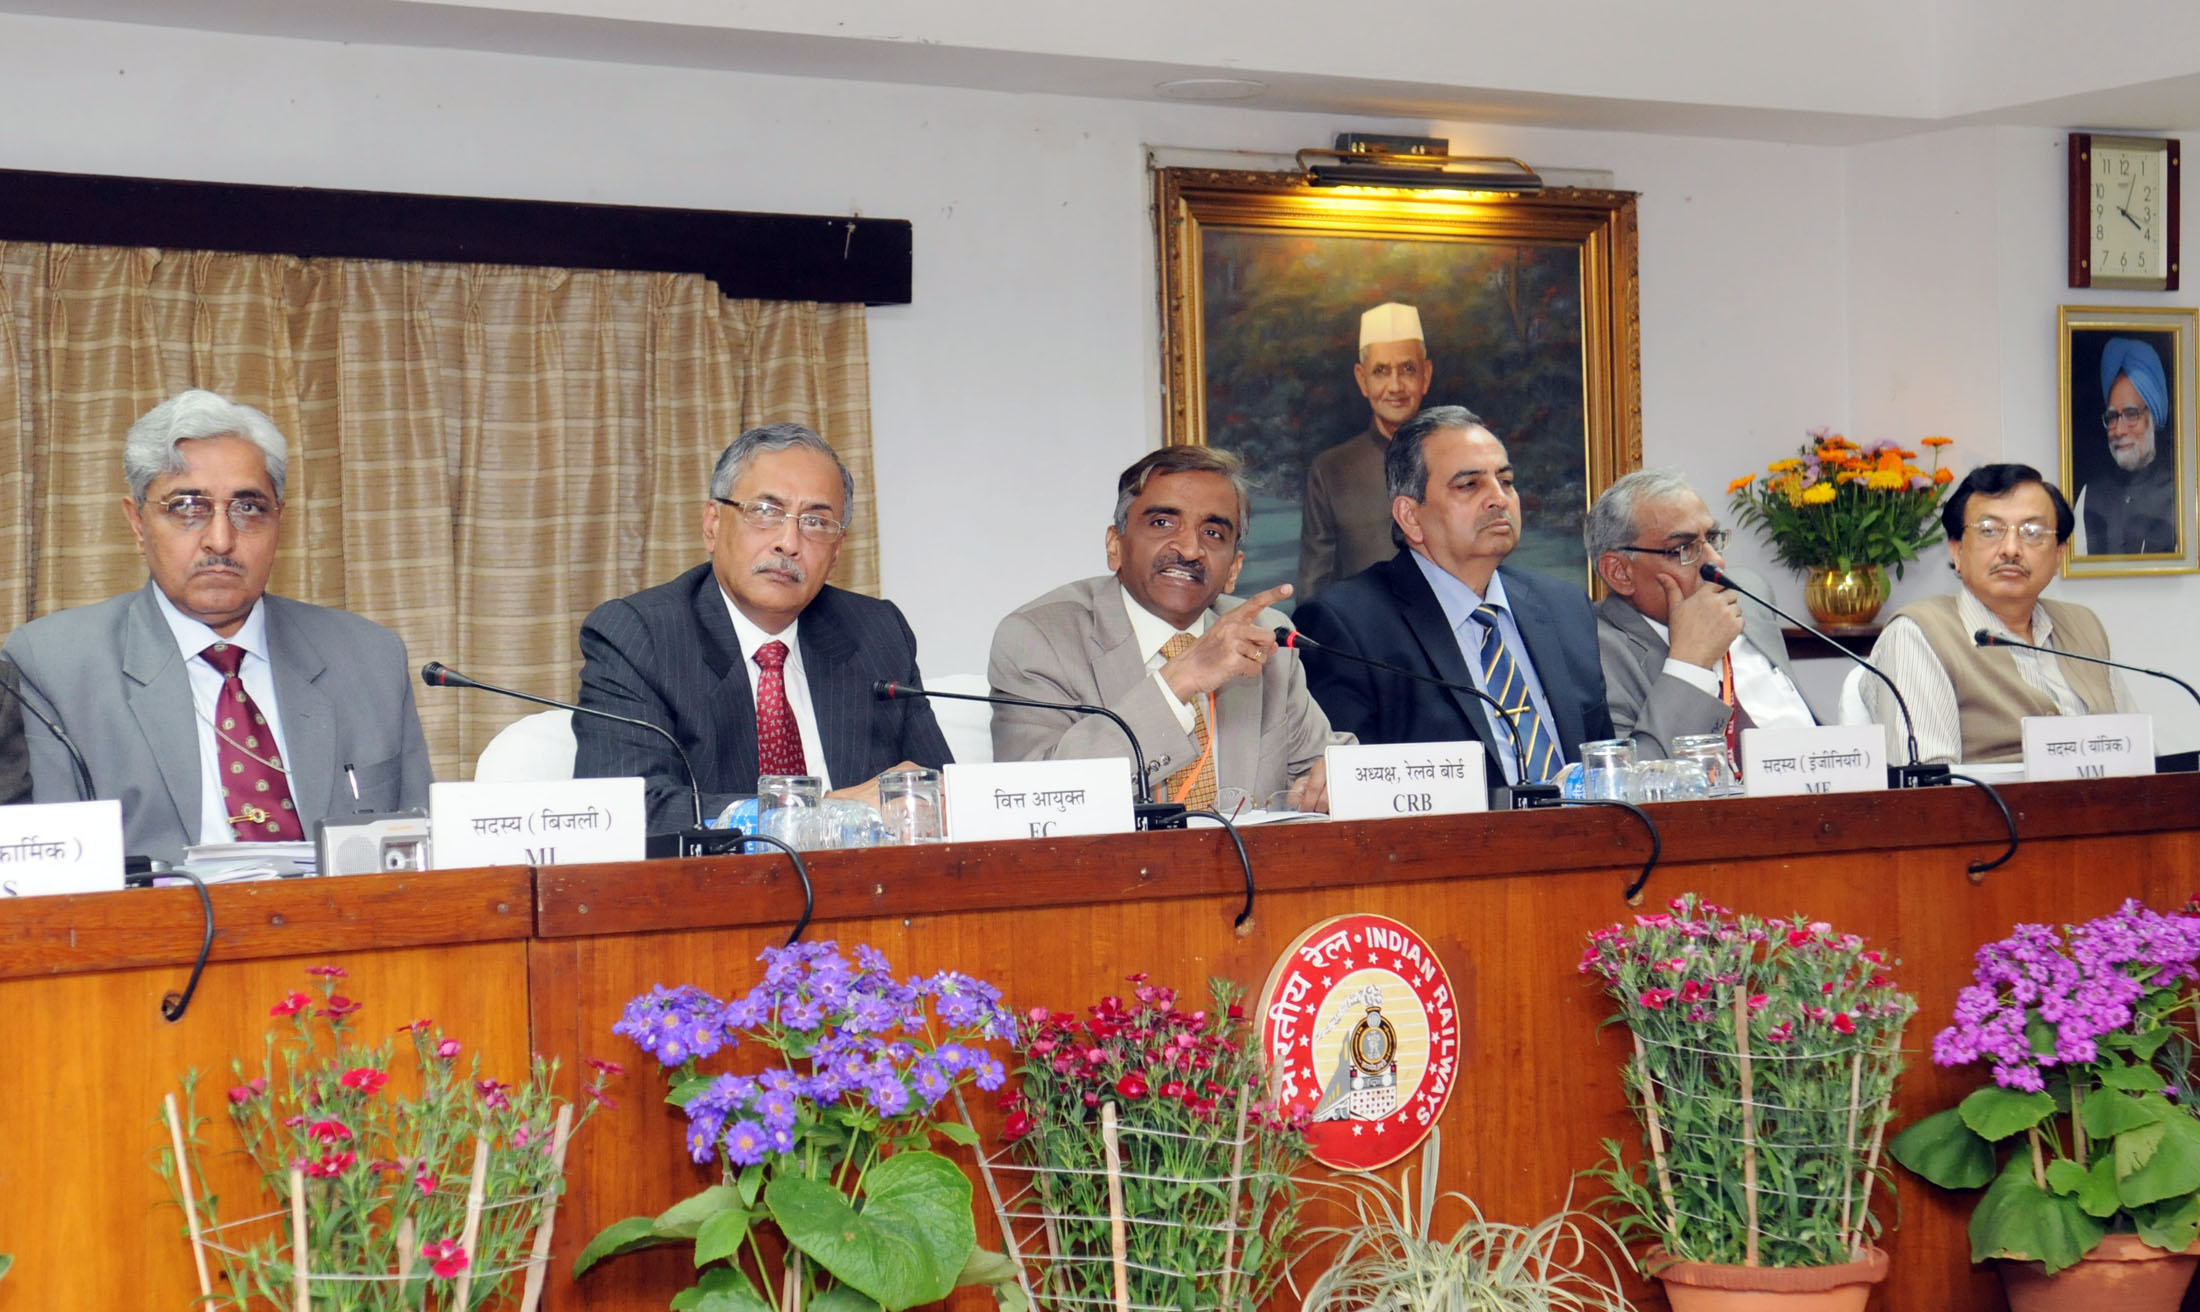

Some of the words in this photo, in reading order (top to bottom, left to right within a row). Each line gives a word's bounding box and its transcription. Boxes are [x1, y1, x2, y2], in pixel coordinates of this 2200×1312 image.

[1350, 763, 1401, 787] अध्यक्ष,
[1400, 755, 1438, 784] रेलवे
[1436, 755, 1469, 783] बोर्ड
[1758, 752, 1802, 779] सदस्य
[1805, 749, 1865, 774] इंजीनियरी
[2040, 736, 2083, 762] सदस्य
[2075, 763, 2108, 781] MM
[2087, 729, 2128, 757] यांत्रिक
[991, 786, 1028, 813] वित्त
[1027, 786, 1091, 815] आयुक्त
[1391, 791, 1436, 817] CRB
[469, 813, 529, 840] सदस्य
[538, 804, 608, 834] बिजली
[1297, 927, 1355, 977] रेल
[1364, 922, 1440, 983] INDIAN
[1269, 967, 1314, 1109] रतीय
[1413, 979, 1459, 1132] RAILWAYS